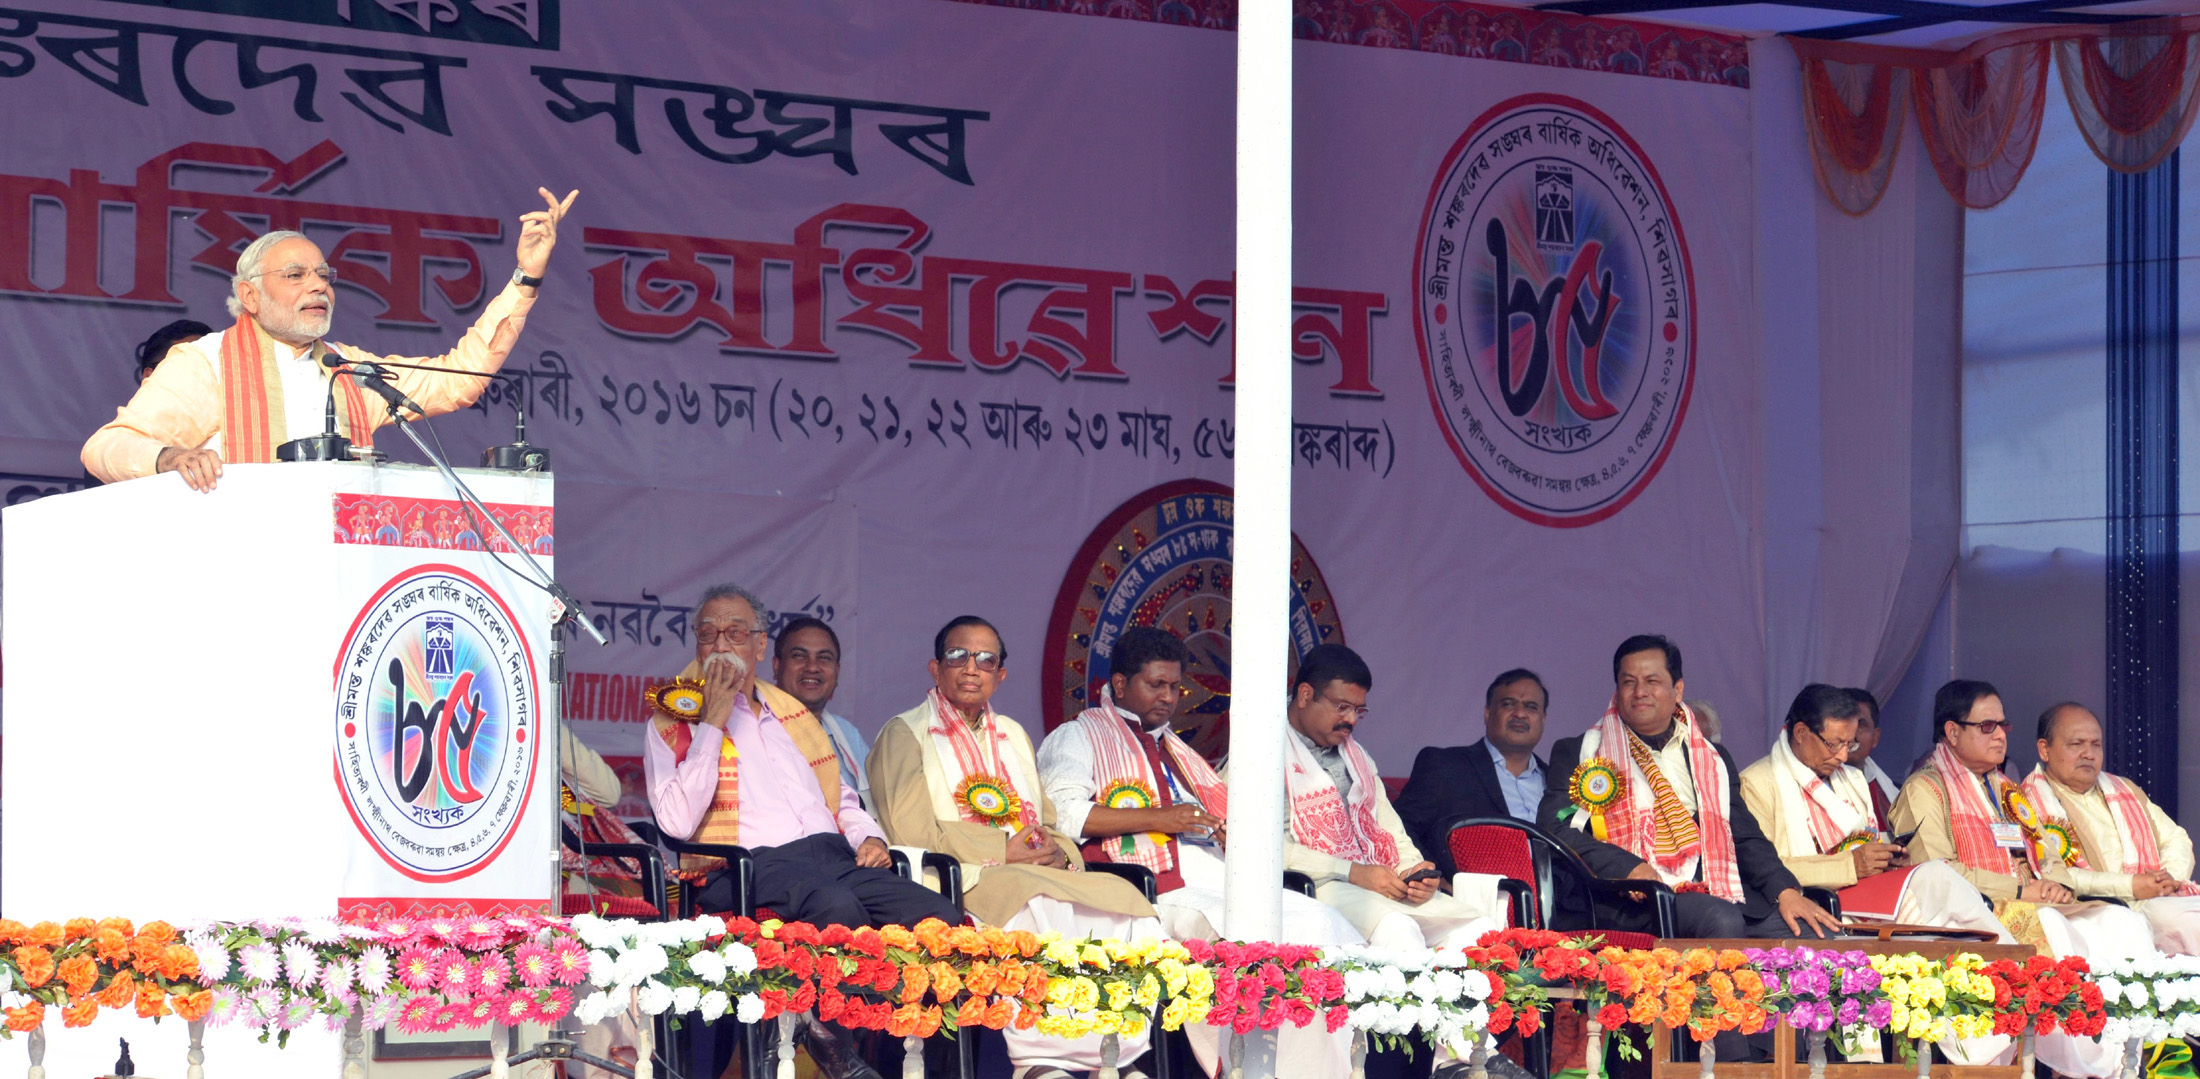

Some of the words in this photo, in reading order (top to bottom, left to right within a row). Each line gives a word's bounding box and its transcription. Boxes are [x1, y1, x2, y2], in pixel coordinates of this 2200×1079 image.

[2, 5, 471, 141] ৰদেৱ
[523, 59, 996, 193] সঙ্ঘৰ
[1482, 117, 1541, 163] সঙঘৰ
[1532, 111, 1589, 153] বার্ষিক
[1434, 145, 1497, 235] শঙ্কৰদেৱ
[1581, 129, 1657, 215] অধিৱেশন
[4, 129, 511, 332] বার্ষিক
[1422, 227, 1461, 305] শ্রীমন্ত
[1643, 211, 1683, 323] শিবসাগৰ
[585, 193, 1397, 403] অধিৱেশন
[495, 336, 576, 421] ৱাৰী
[596, 362, 764, 438] ২০১৬চন
[977, 390, 1059, 456] আৰু
[1055, 397, 1112, 459] ২৩
[1112, 402, 1176, 463] মাঘ
[1179, 406, 1236, 468] ৫৬
[1433, 327, 1471, 407] সাহিত্যৰথী
[1455, 399, 1503, 462] লক্ষীনাথ
[1488, 450, 1550, 489] বেজবৰুৱা
[1517, 416, 1596, 452] সংখ্যক
[1540, 471, 1577, 499] সমন্বয়
[1570, 467, 1606, 496] ক্ষেত্র,
[1593, 448, 1635, 483] ৪,৫,৬,
[1629, 385, 1671, 453] ফেব্ৰুৱাৰী,
[1655, 343, 1681, 390] ২০১৩
[1132, 539, 1181, 577] সঙ্ঘৰ
[1167, 516, 1226, 566] ৮৫ সংখ্যক
[349, 605, 397, 672] শঙ্কৰদেৱ
[388, 581, 429, 619] সঙঘৰ
[427, 573, 470, 606] বার্ষিক
[463, 591, 515, 651] অধিৱেশন
[1090, 615, 1123, 665] শ্রীমন্ত
[1100, 560, 1151, 623] শঙ্কৰদেৱ
[337, 669, 366, 730] শ্রীমন্ত
[503, 647, 530, 731] শিবসাগৰ
[339, 738, 374, 799] সাহিত্যৰথী
[511, 741, 529, 779] ২০৯৬
[359, 794, 399, 841] লক্ষ্মীনাথ
[385, 827, 431, 859] বেজবৰুৱা
[419, 842, 449, 863] সমন্বয়
[406, 798, 471, 826] সংখ্যক
[441, 837, 472, 859] ক্ষেত্র,
[489, 776, 521, 827] ফেব্ৰুৱাৰী